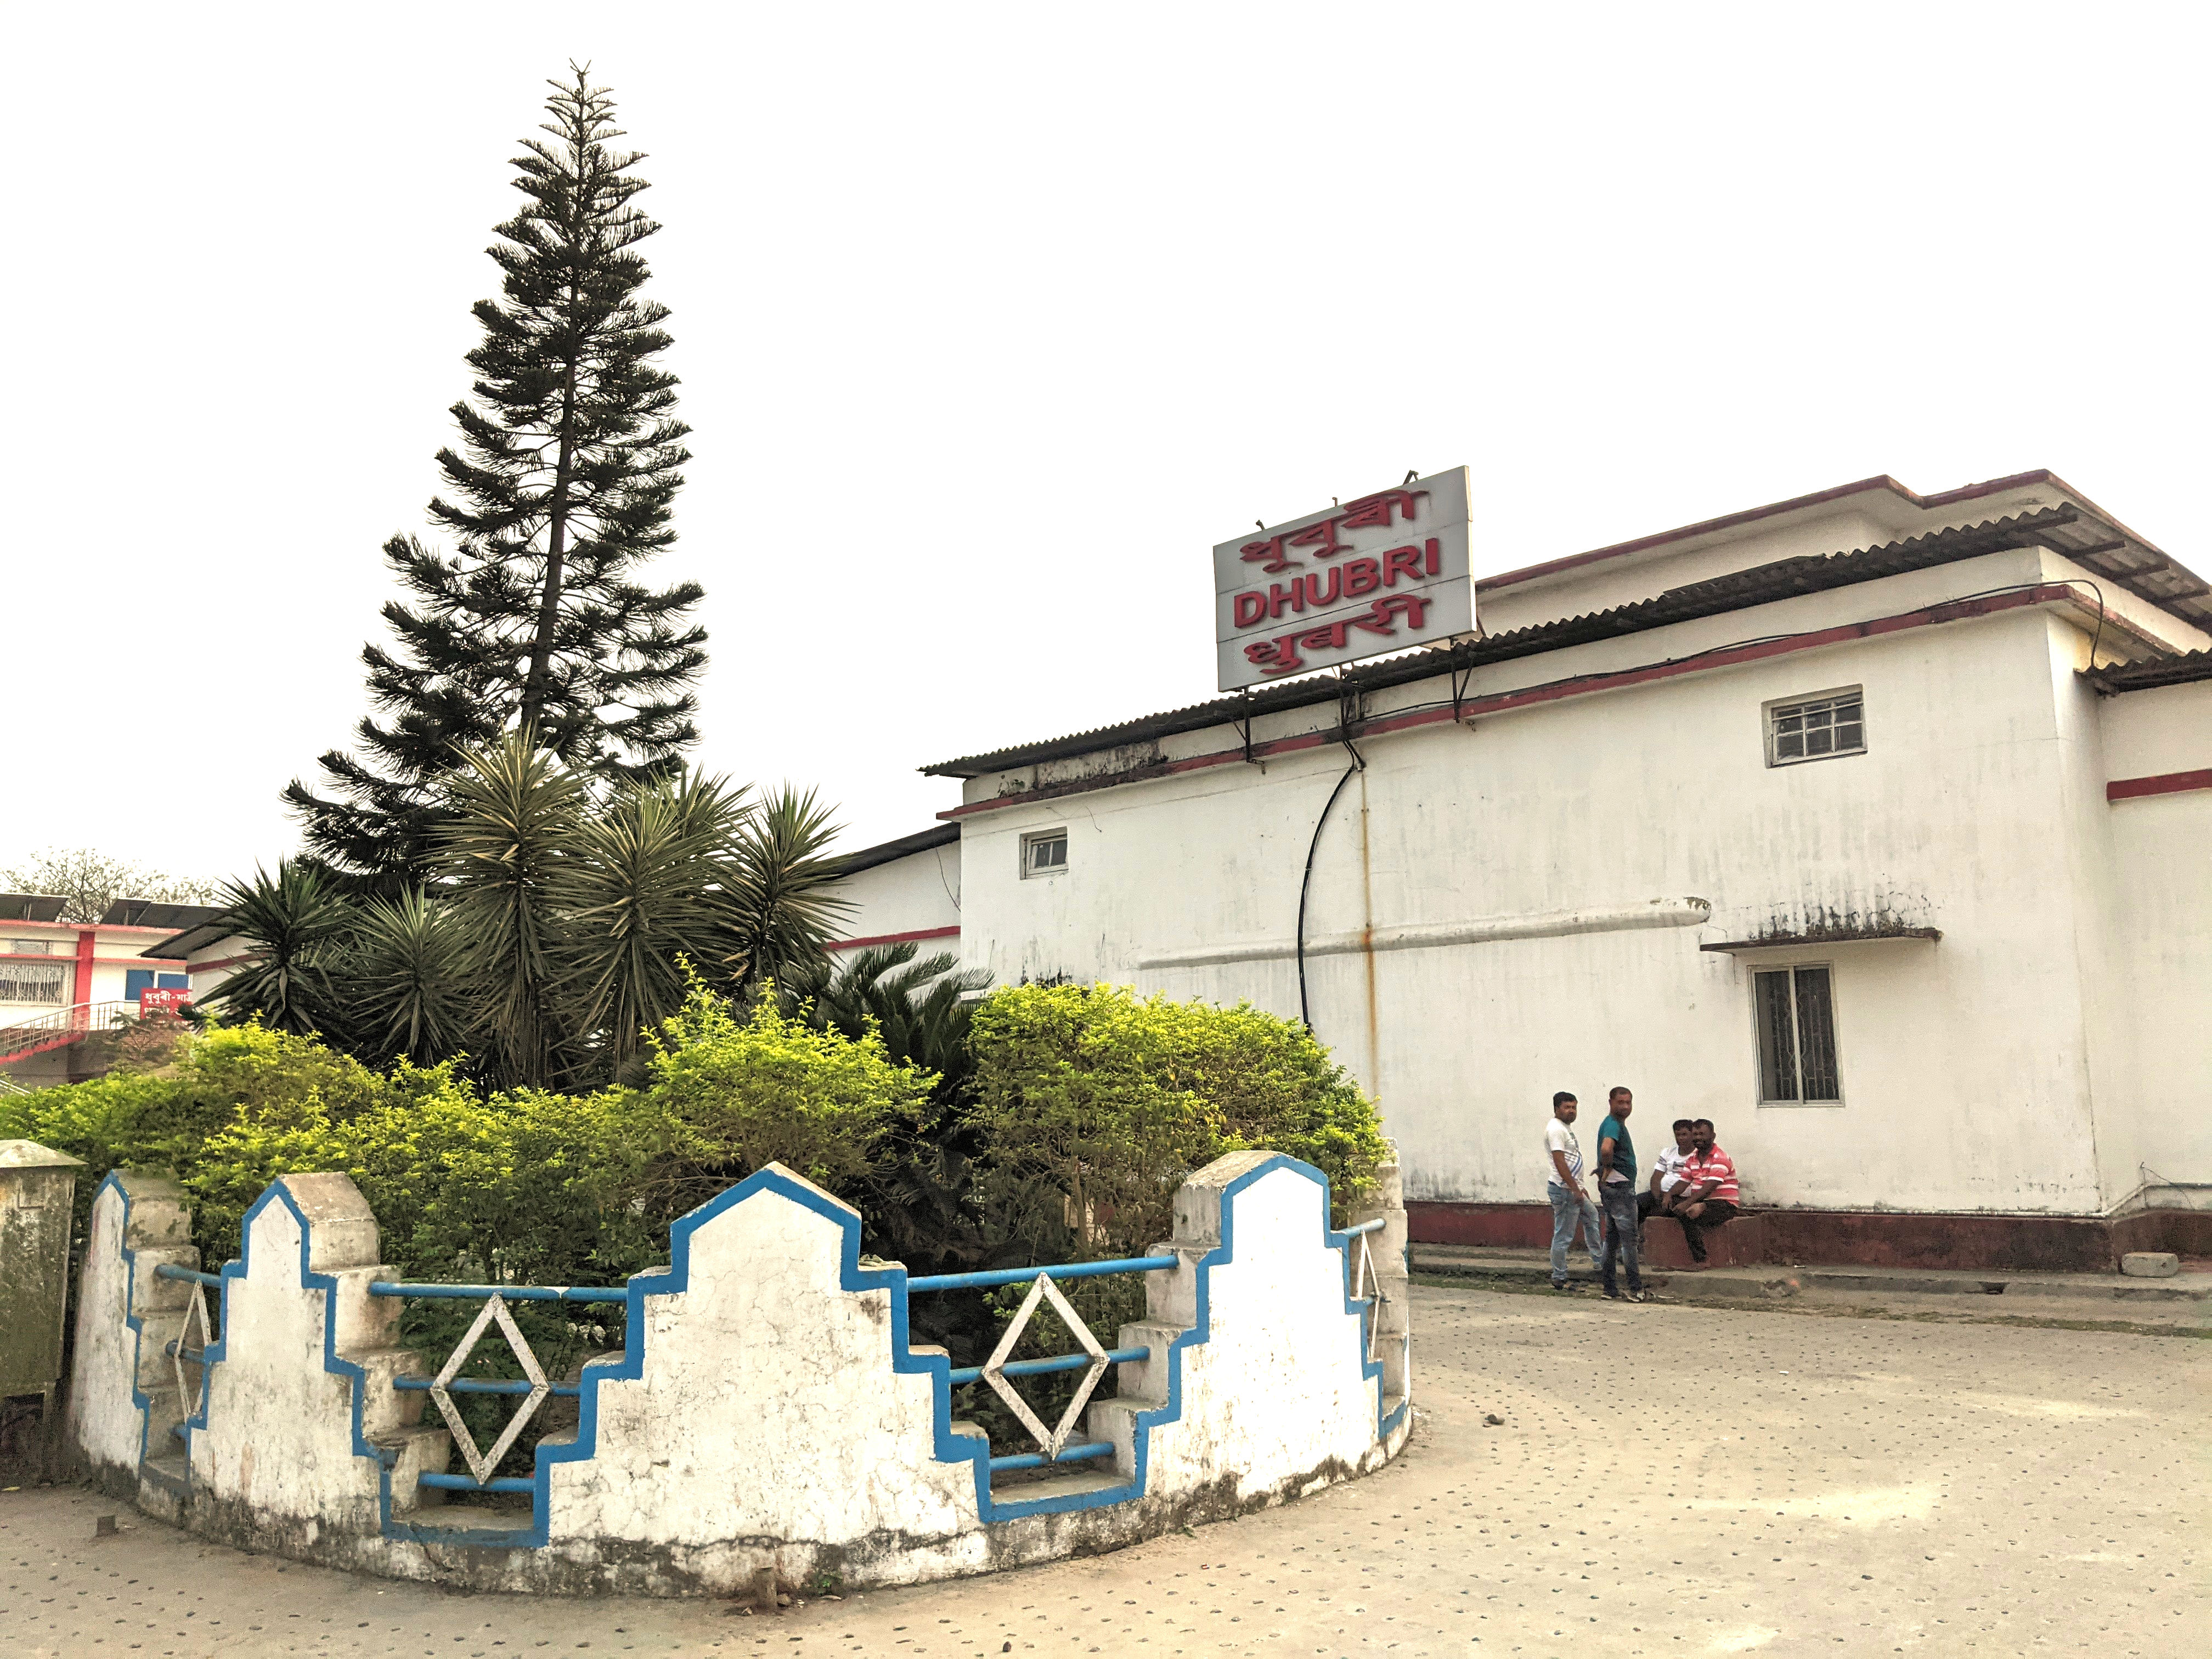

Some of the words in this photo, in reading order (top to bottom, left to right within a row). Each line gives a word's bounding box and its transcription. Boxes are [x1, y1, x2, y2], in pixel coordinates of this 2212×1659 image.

[1234, 480, 1431, 580] ধুবুৰী
[1242, 586, 1430, 676] धुबरी
[1230, 532, 1444, 635] DHUBRI